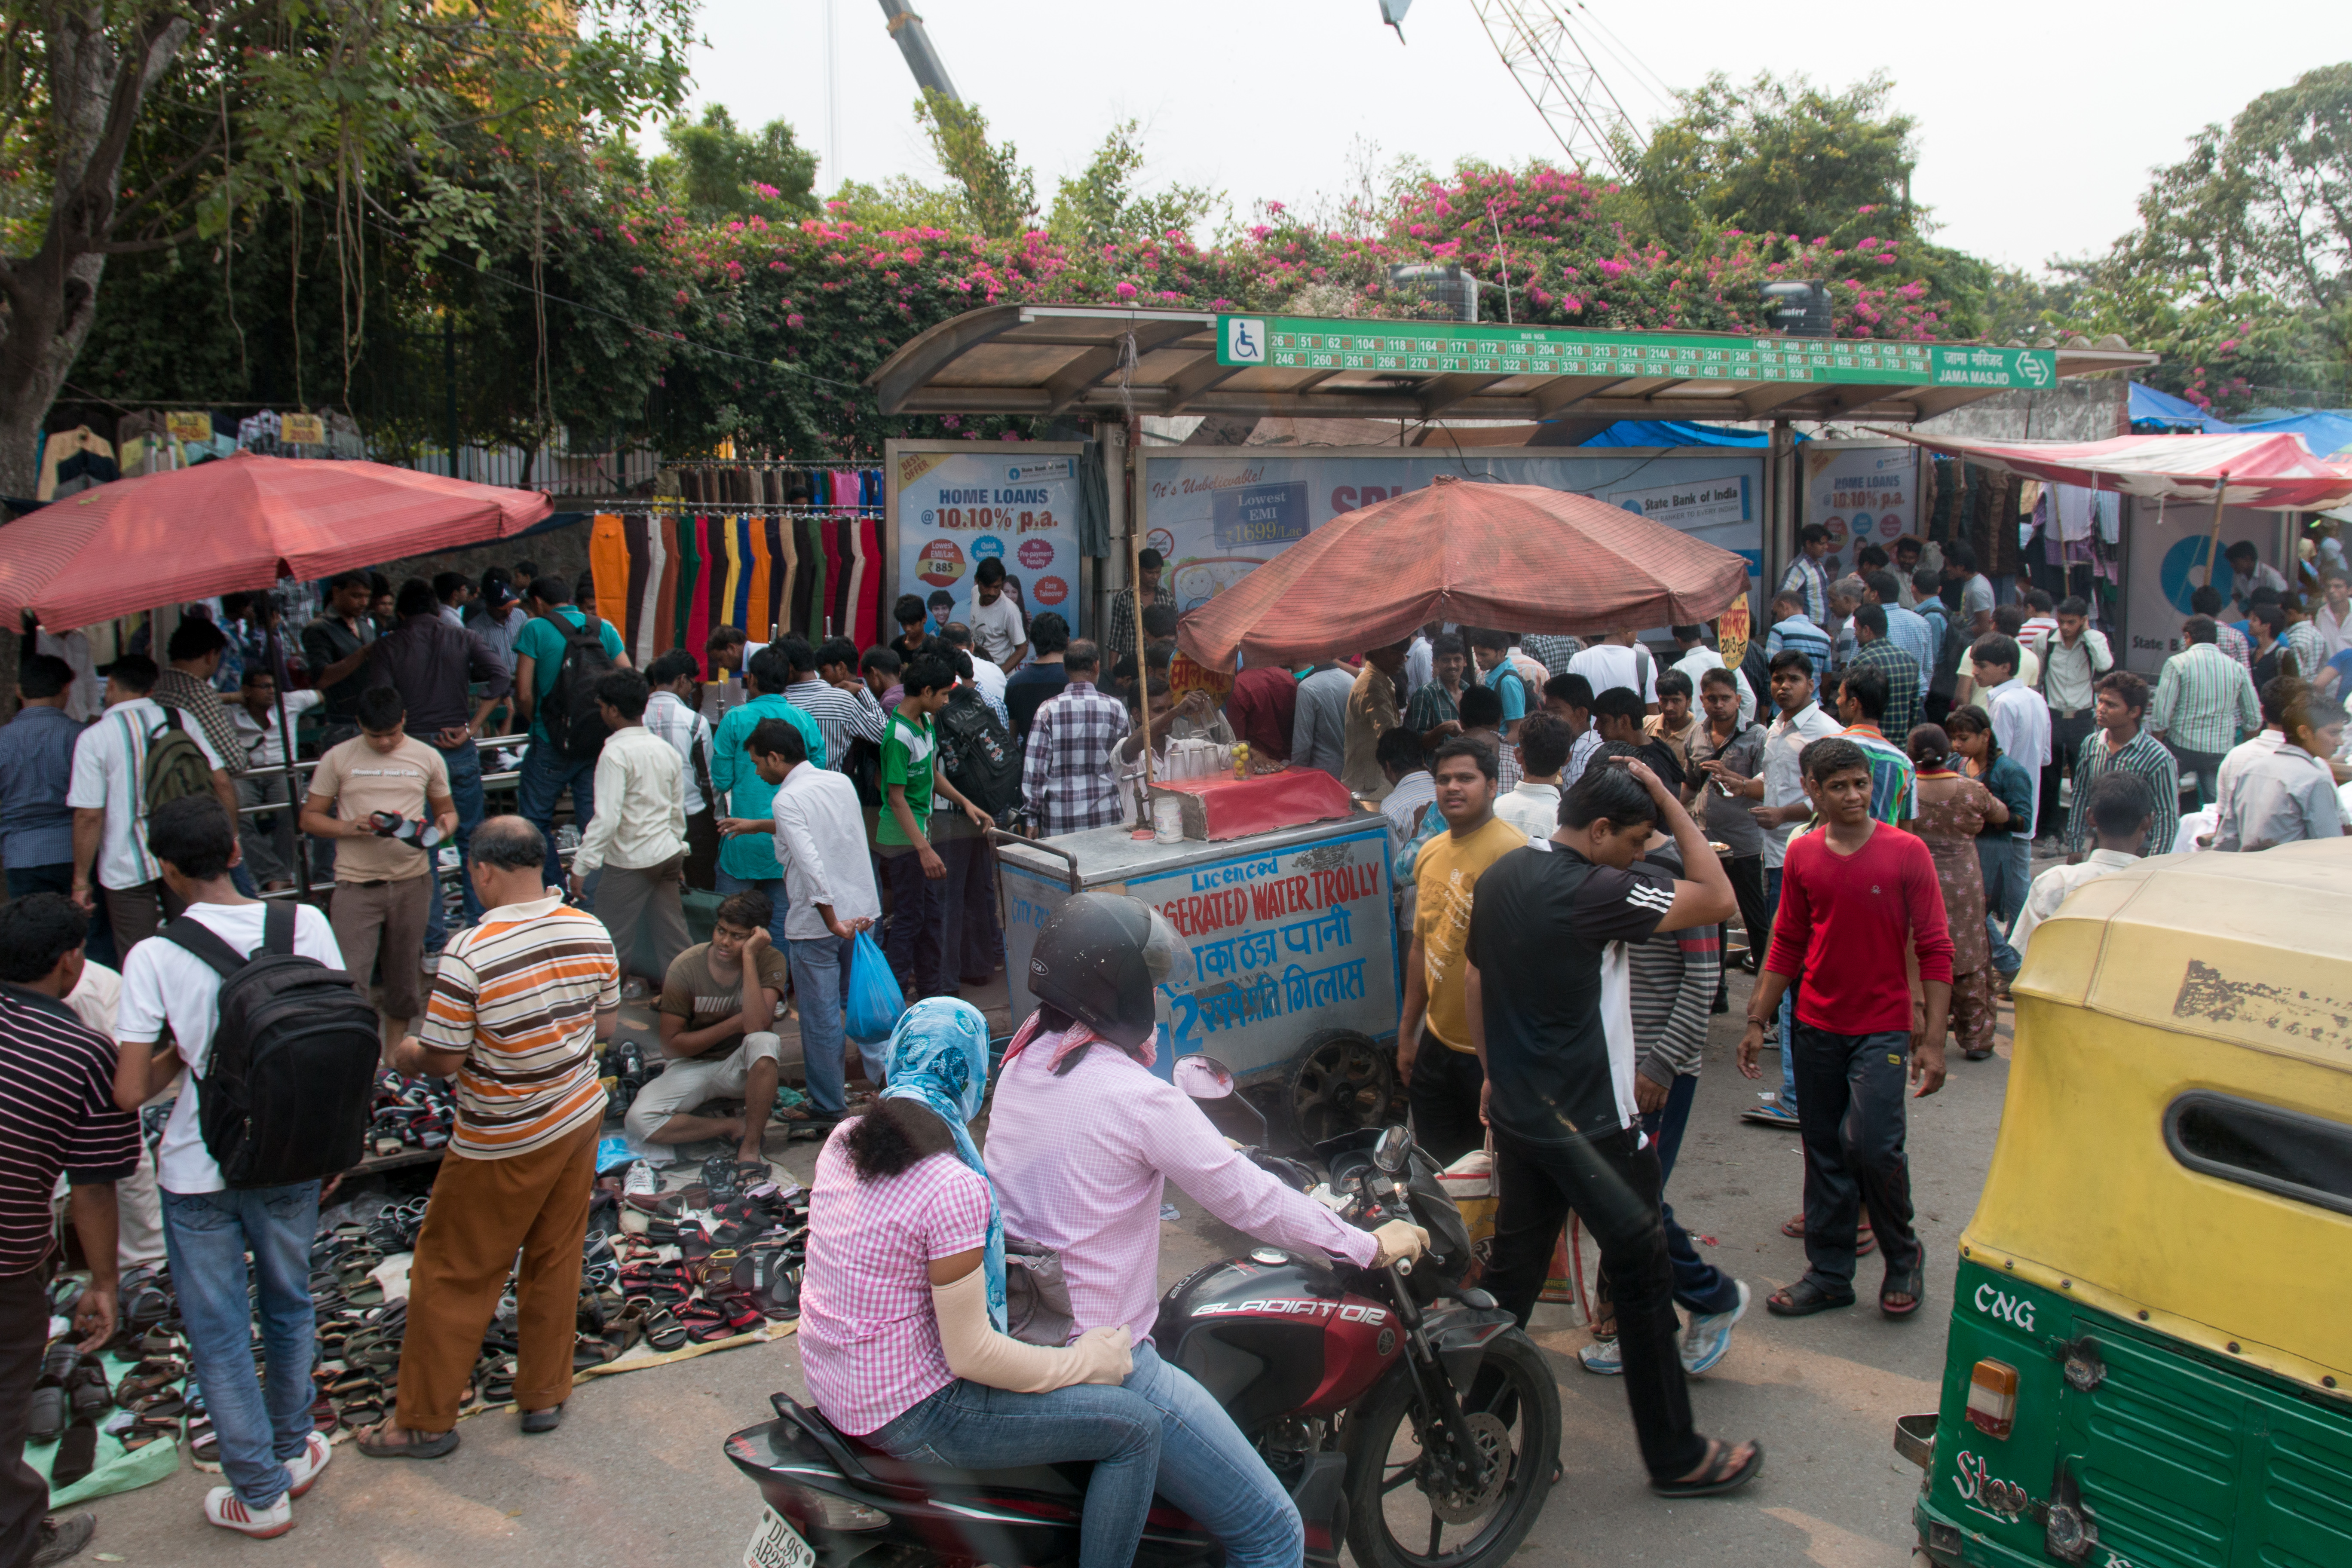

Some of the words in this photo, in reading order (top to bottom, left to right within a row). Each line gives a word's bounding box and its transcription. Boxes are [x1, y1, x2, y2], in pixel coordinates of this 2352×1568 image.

[1939, 347, 1969, 367] जामा
[1970, 347, 2006, 369] मस्जिद
[1936, 368, 1971, 385] JAMA
[1969, 369, 2015, 387] MASJID
[900, 451, 921, 473] BEST
[901, 457, 931, 483] OFFER
[1181, 465, 1266, 495] Unbelievable!
[1833, 471, 1866, 491] HOME
[1867, 471, 1901, 489] LOANS
[938, 487, 988, 506] HOME
[936, 505, 1016, 530] 10.10%
[994, 487, 1048, 505] LOANS
[1020, 508, 1060, 533] p.a.
[1235, 490, 1288, 508] Lowest
[1249, 506, 1280, 521] EMI
[1641, 493, 1671, 512] State
[1659, 510, 1686, 523] BANKER
[1671, 491, 1698, 508] Bank
[1686, 509, 1696, 520] TO
[1697, 487, 1711, 504] of
[1696, 505, 1718, 518] EVERY
[1712, 485, 1740, 503] India
[1716, 502, 1739, 514] INDIAN
[1829, 487, 1905, 512] 10.10%p.a.
[1231, 520, 1303, 545] 1699/Lac
[929, 541, 954, 550] Lowest
[929, 550, 956, 560] EMI/Lac
[1030, 541, 1042, 550] No
[1025, 557, 1047, 568] Penalty
[1019, 548, 1053, 558] Pre-payment
[1044, 581, 1058, 591] Easy
[1037, 589, 1065, 598] Takeover
[1188, 854, 1280, 894] Licenced
[1306, 859, 1379, 911] TROLLY
[1246, 873, 1314, 925] WATER
[1273, 898, 1354, 960] पानी
[1202, 933, 1241, 980] का
[1233, 924, 1282, 975] ठंडा
[1279, 955, 1366, 1015] गिलास
[1197, 974, 1247, 1036] रूपये
[1237, 965, 1283, 1026] प्रति
[1970, 1280, 2039, 1332] CNG